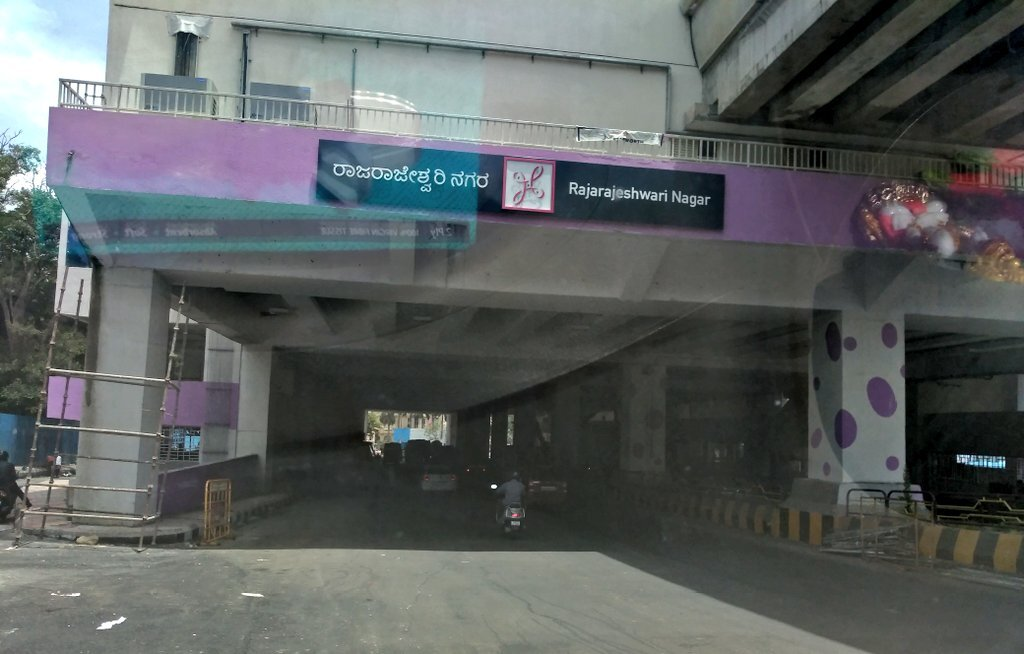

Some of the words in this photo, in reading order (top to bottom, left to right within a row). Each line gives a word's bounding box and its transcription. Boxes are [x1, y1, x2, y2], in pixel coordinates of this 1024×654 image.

[330, 157, 450, 197] ರಾಜರಾಜೇಶ್ವರಿ
[445, 161, 491, 193] ನಗರ
[564, 176, 671, 209] Rajarajeshwari
[666, 185, 715, 212] Nagar